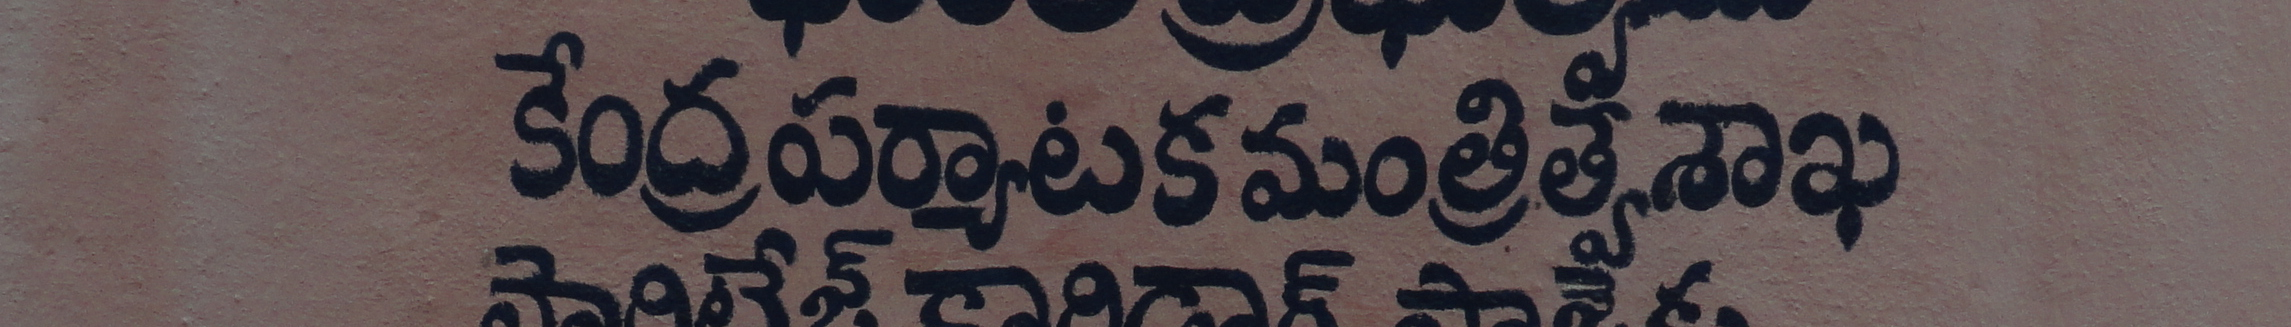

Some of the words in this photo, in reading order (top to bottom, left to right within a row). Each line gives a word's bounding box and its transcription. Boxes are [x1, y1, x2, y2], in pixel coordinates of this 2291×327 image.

[483, 7, 1236, 258] కేంద్రపర్యాటక
[1235, 64, 1908, 277] మంత్రిత్వశాఖ